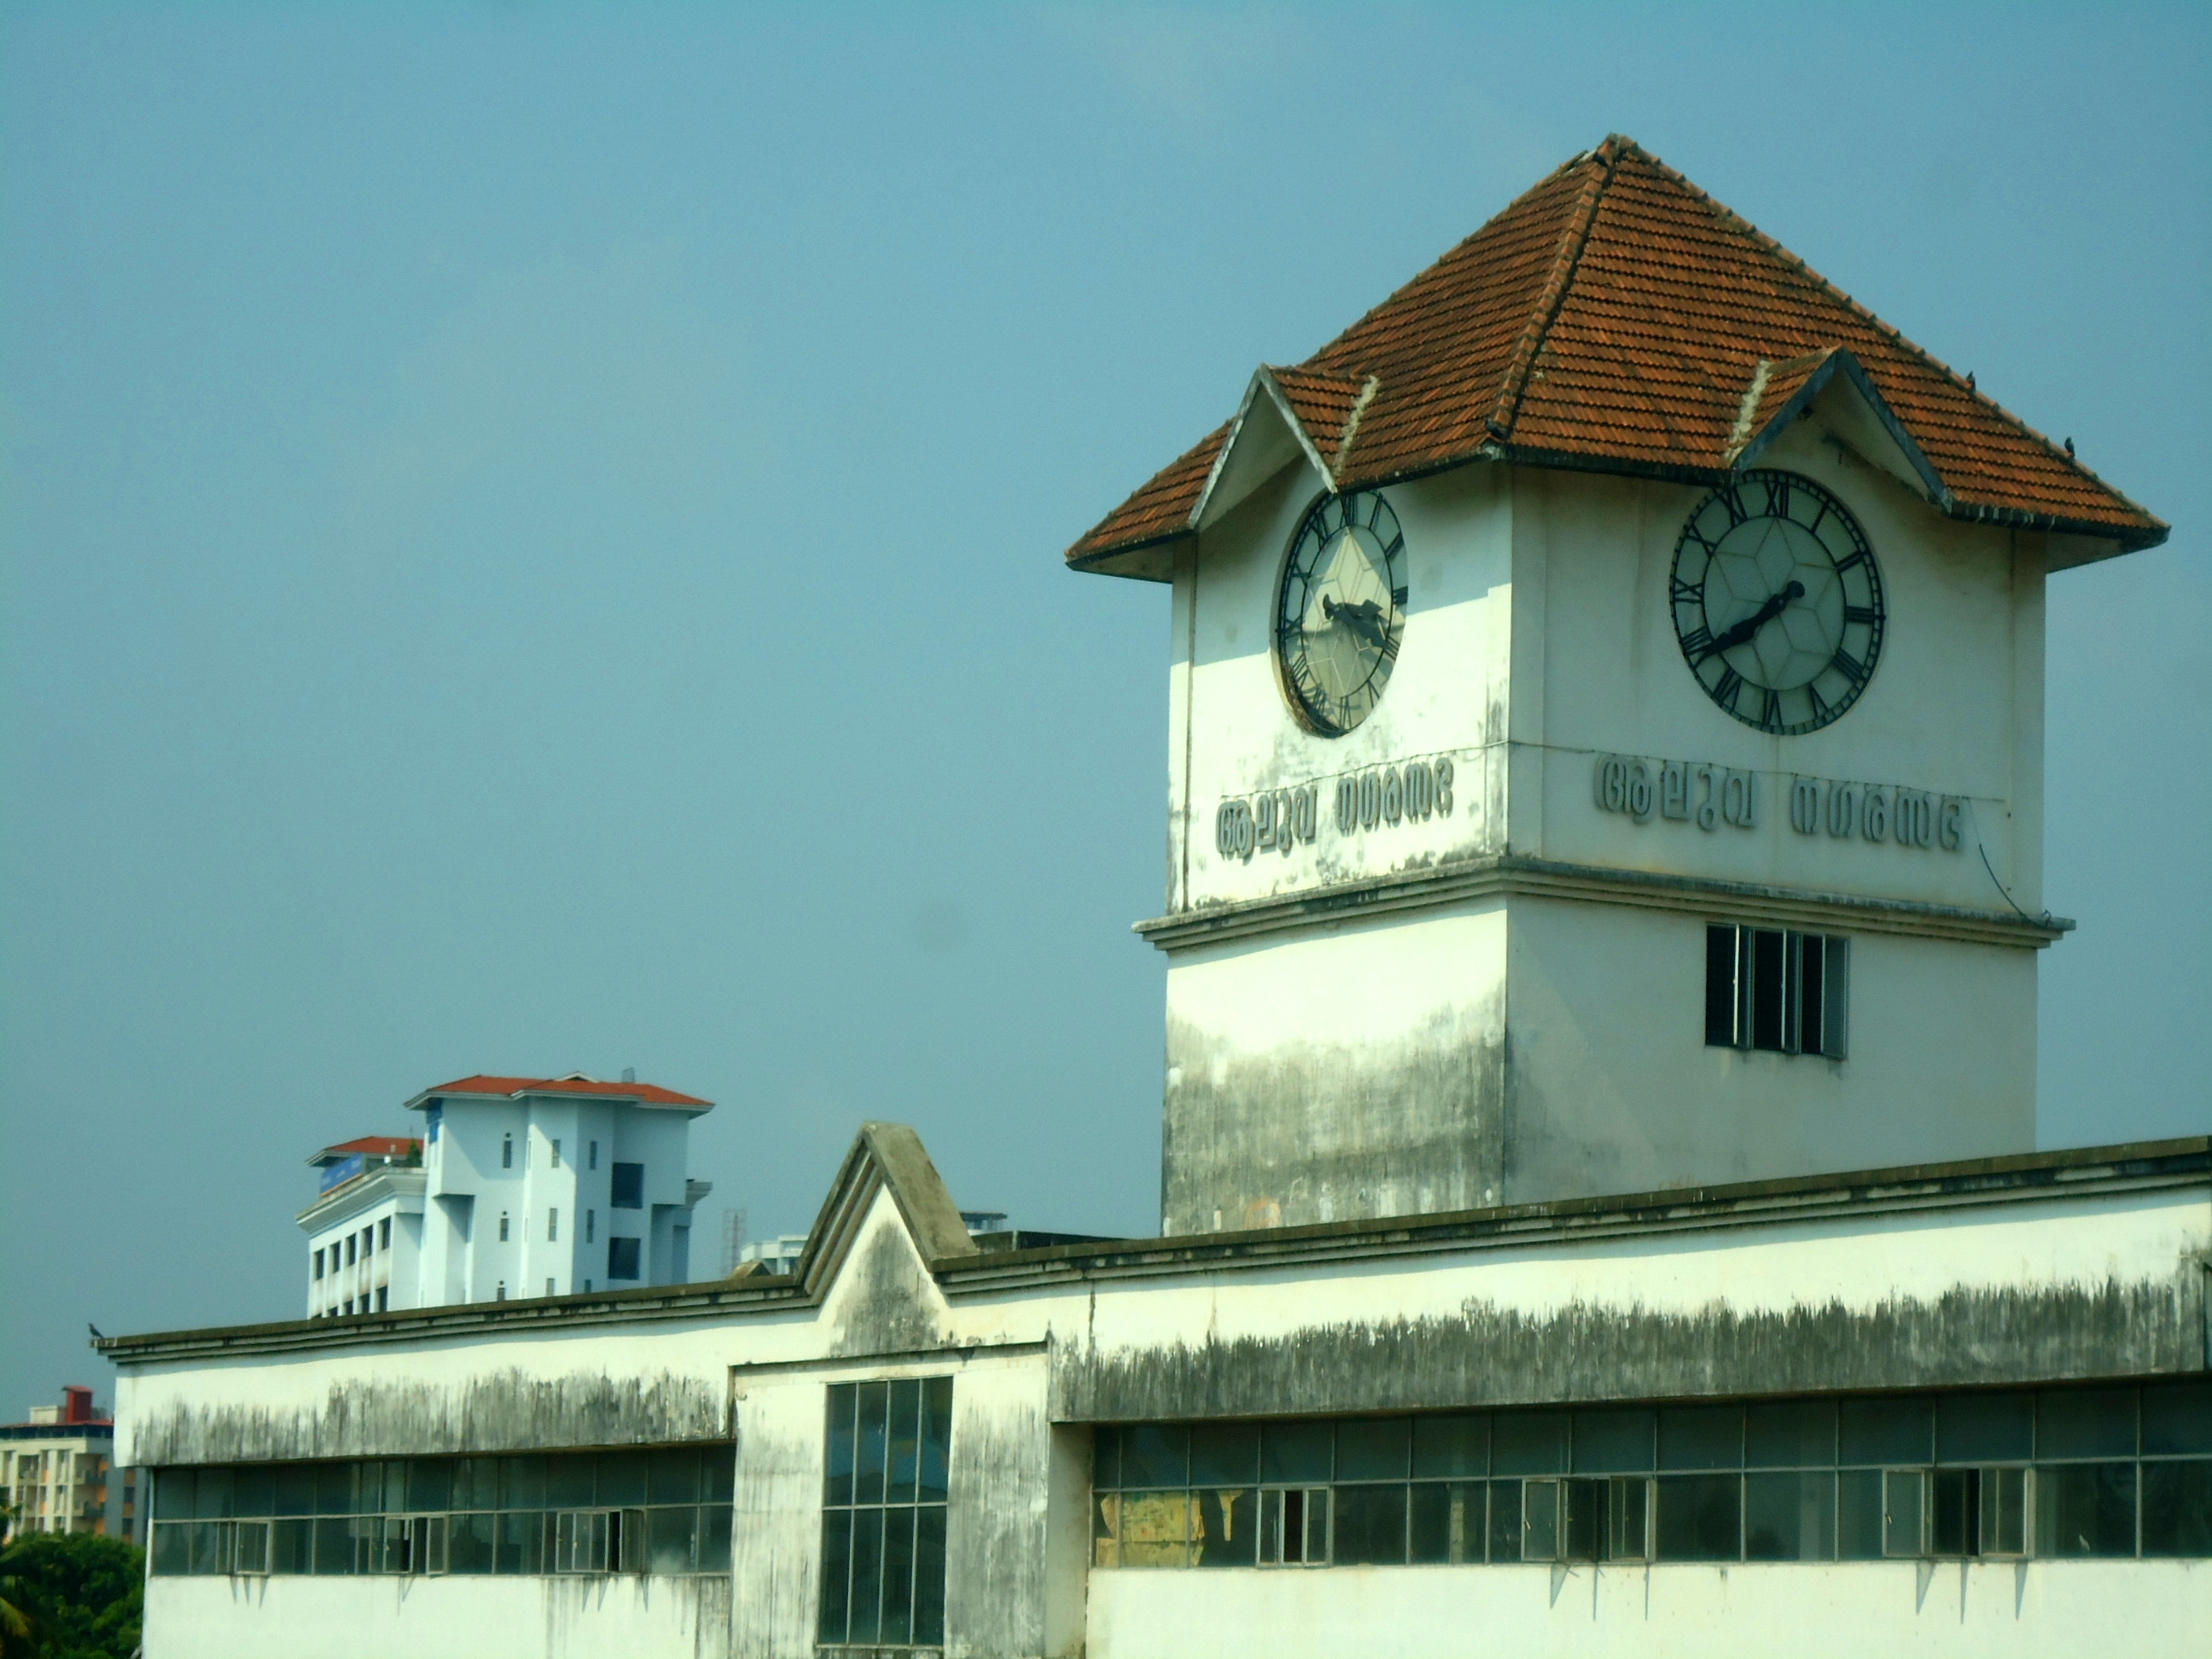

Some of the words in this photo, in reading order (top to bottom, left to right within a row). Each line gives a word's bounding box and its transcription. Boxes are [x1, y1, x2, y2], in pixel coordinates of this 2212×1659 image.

[1204, 773, 1331, 875] ആലുവ
[1331, 754, 1459, 840] നഗരസഭ
[1587, 750, 1763, 835] ആലുവ
[1779, 769, 1971, 859] നഗരസഭ